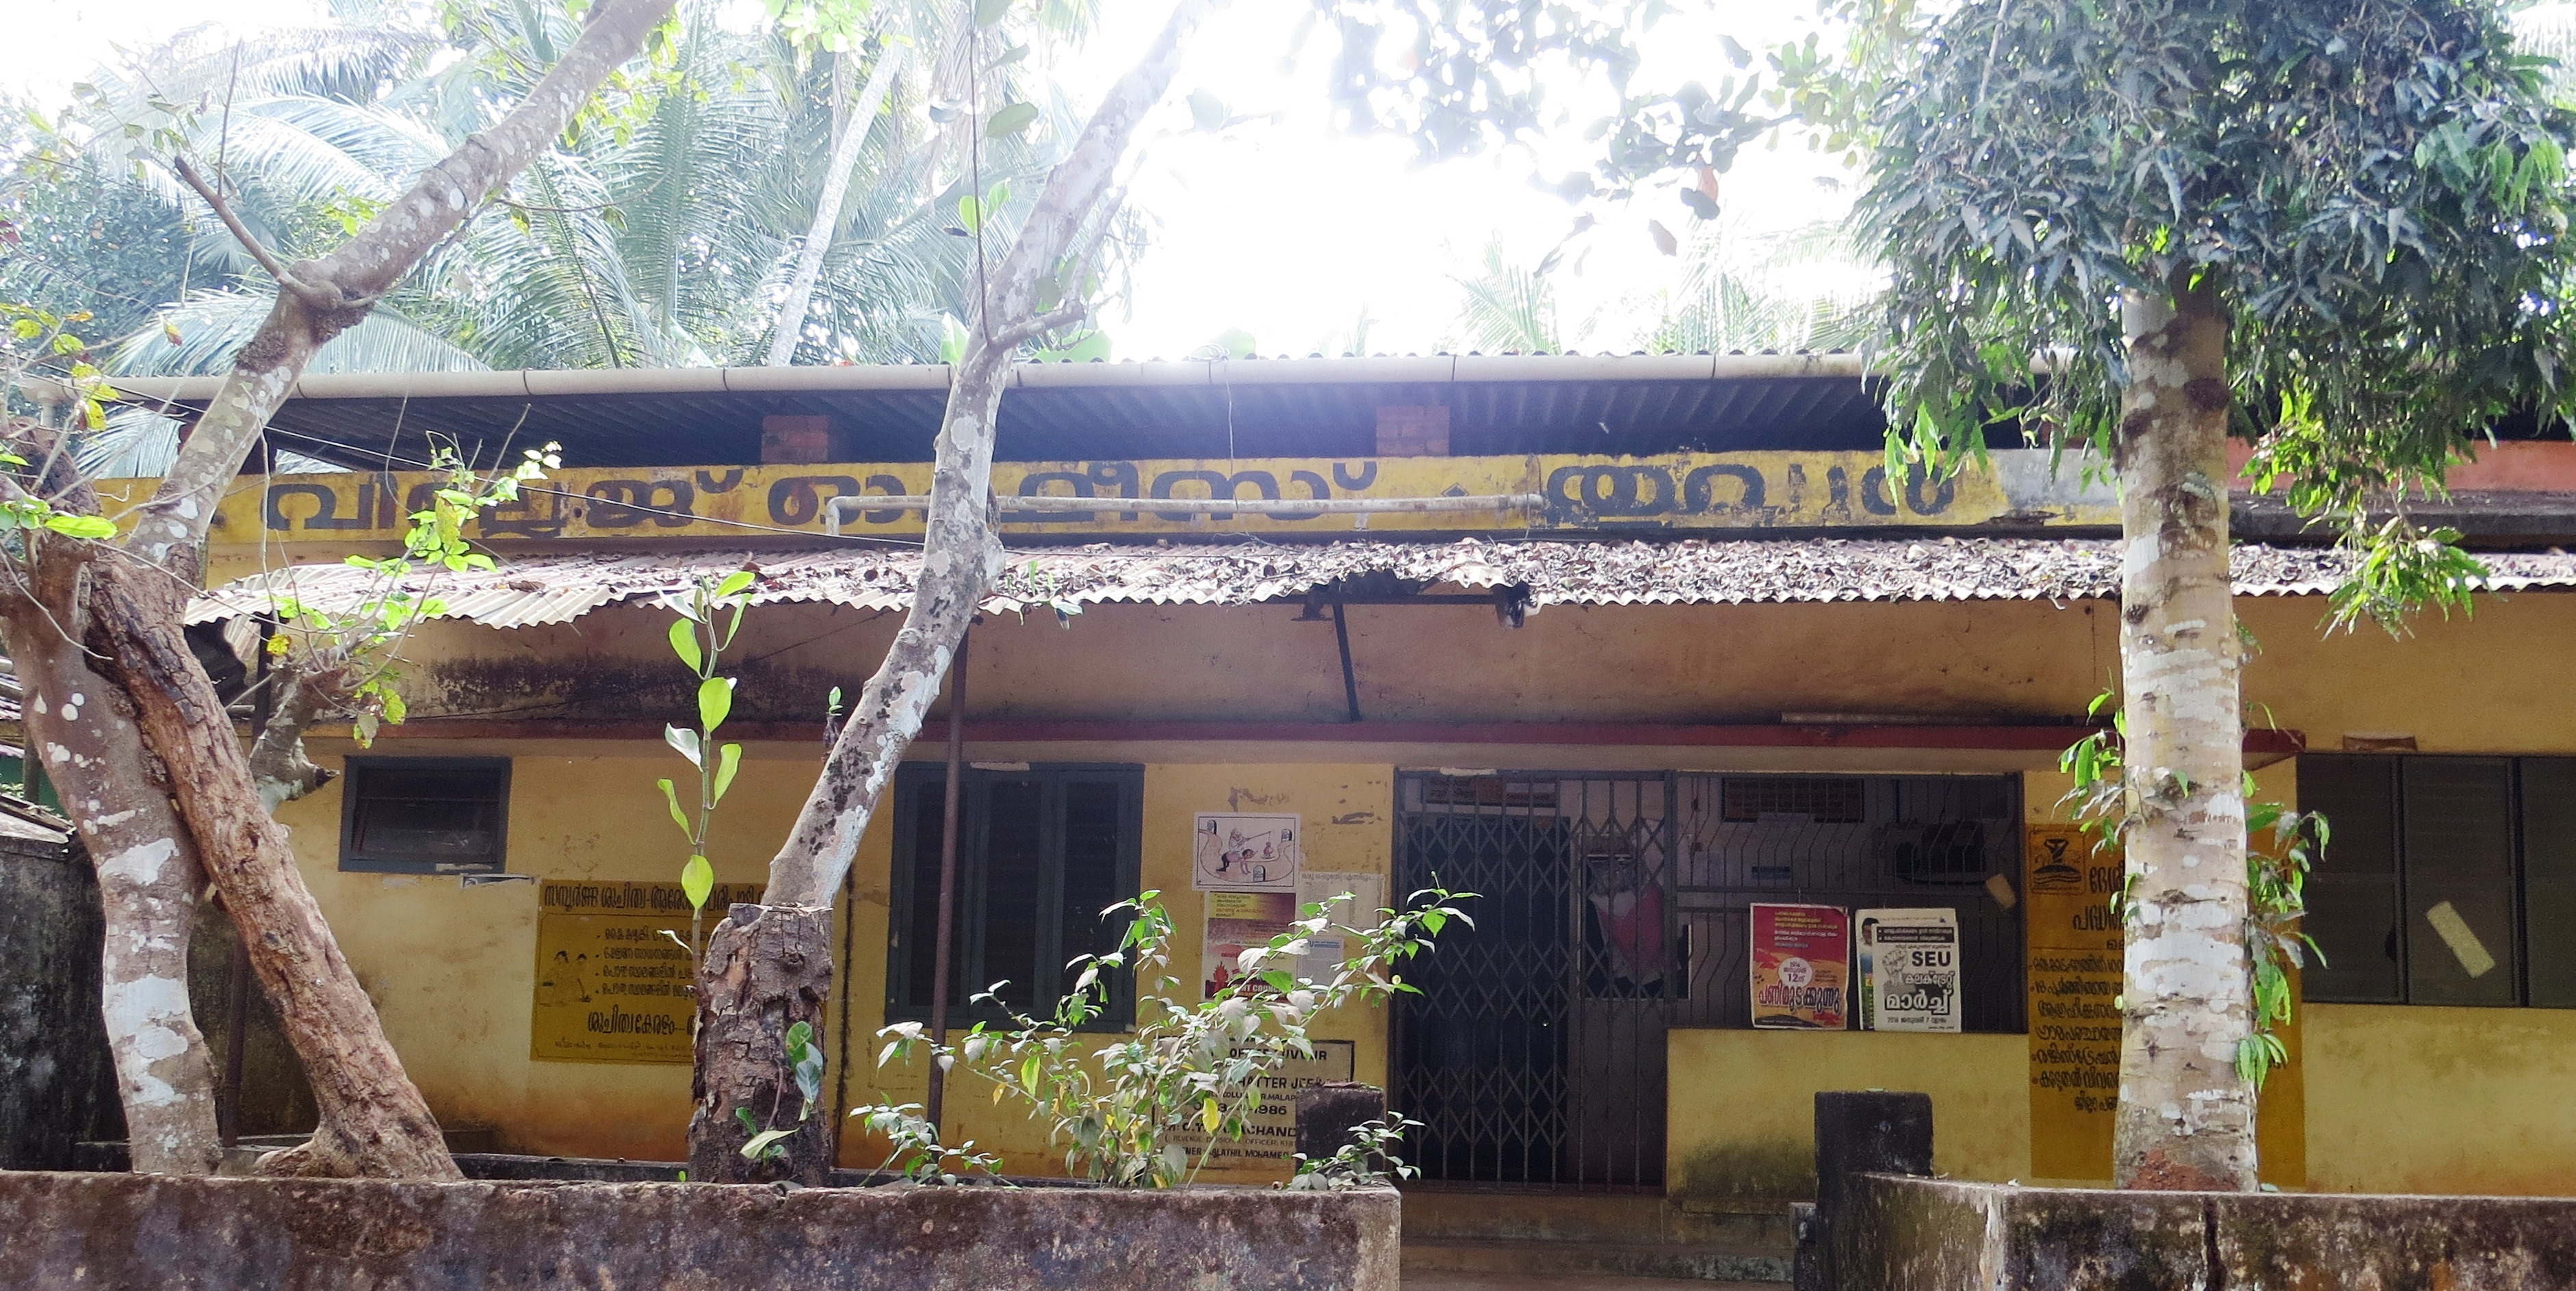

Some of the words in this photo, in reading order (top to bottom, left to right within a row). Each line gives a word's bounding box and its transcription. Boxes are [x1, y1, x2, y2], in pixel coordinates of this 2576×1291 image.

[536, 871, 606, 914] സമ്പൂർണ്ണ
[579, 995, 682, 1041] ശുചിത്വകേരളം
[1749, 975, 1844, 1015] പണിമുടക്കുയു
[1879, 982, 1955, 1022] മാർച്ച്
[1896, 963, 1962, 993] കലക്ട്രേറ്റി
[2029, 1021, 2124, 1048] ഗ്രാമപഞ്ചായത്ത